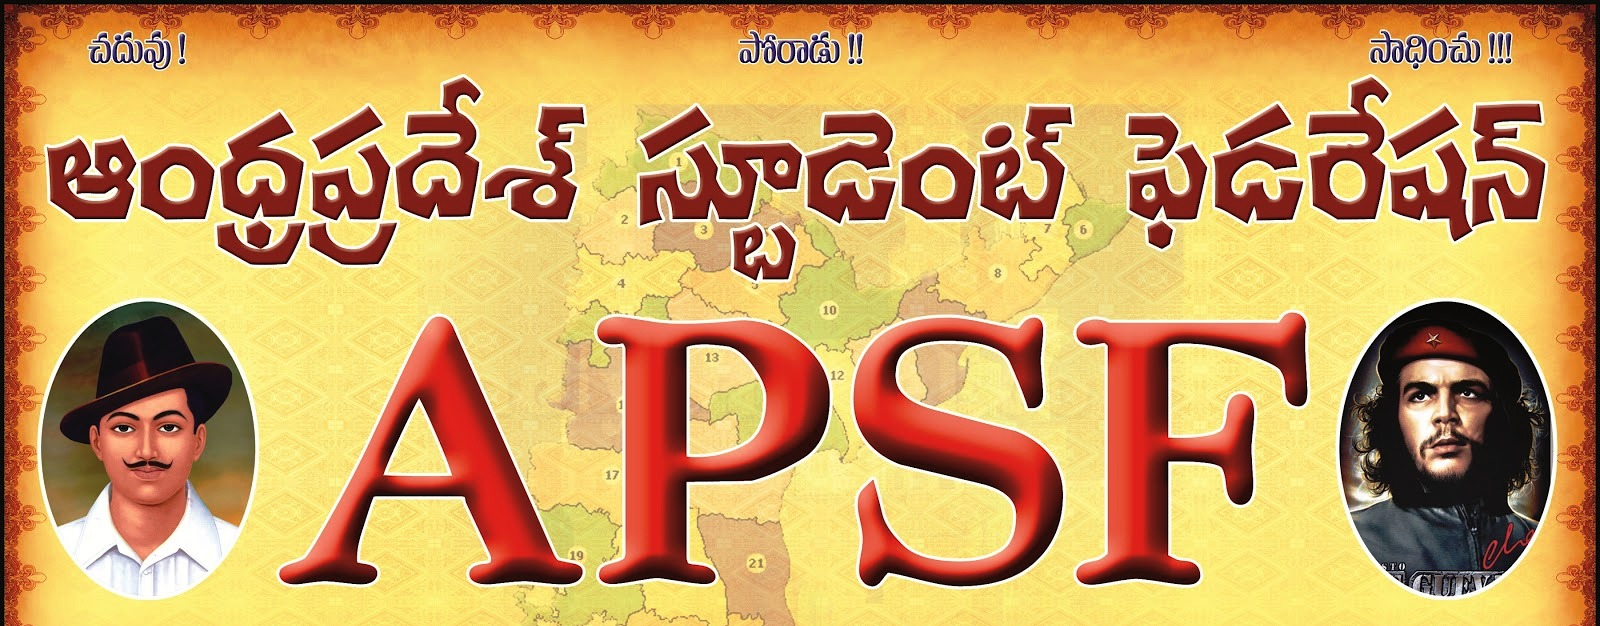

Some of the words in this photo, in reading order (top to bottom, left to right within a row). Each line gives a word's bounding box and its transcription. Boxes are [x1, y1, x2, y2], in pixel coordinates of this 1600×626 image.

[80, 23, 184, 72] చదువు
[730, 11, 850, 75] పోరాడు
[1366, 23, 1493, 74] సాధించు
[34, 69, 589, 281] ఆంధ్రప్రదేశ్
[628, 96, 1079, 232] సూడెంట్
[1126, 67, 1558, 256] ఫెడరేషన్
[269, 307, 1318, 592] APSF